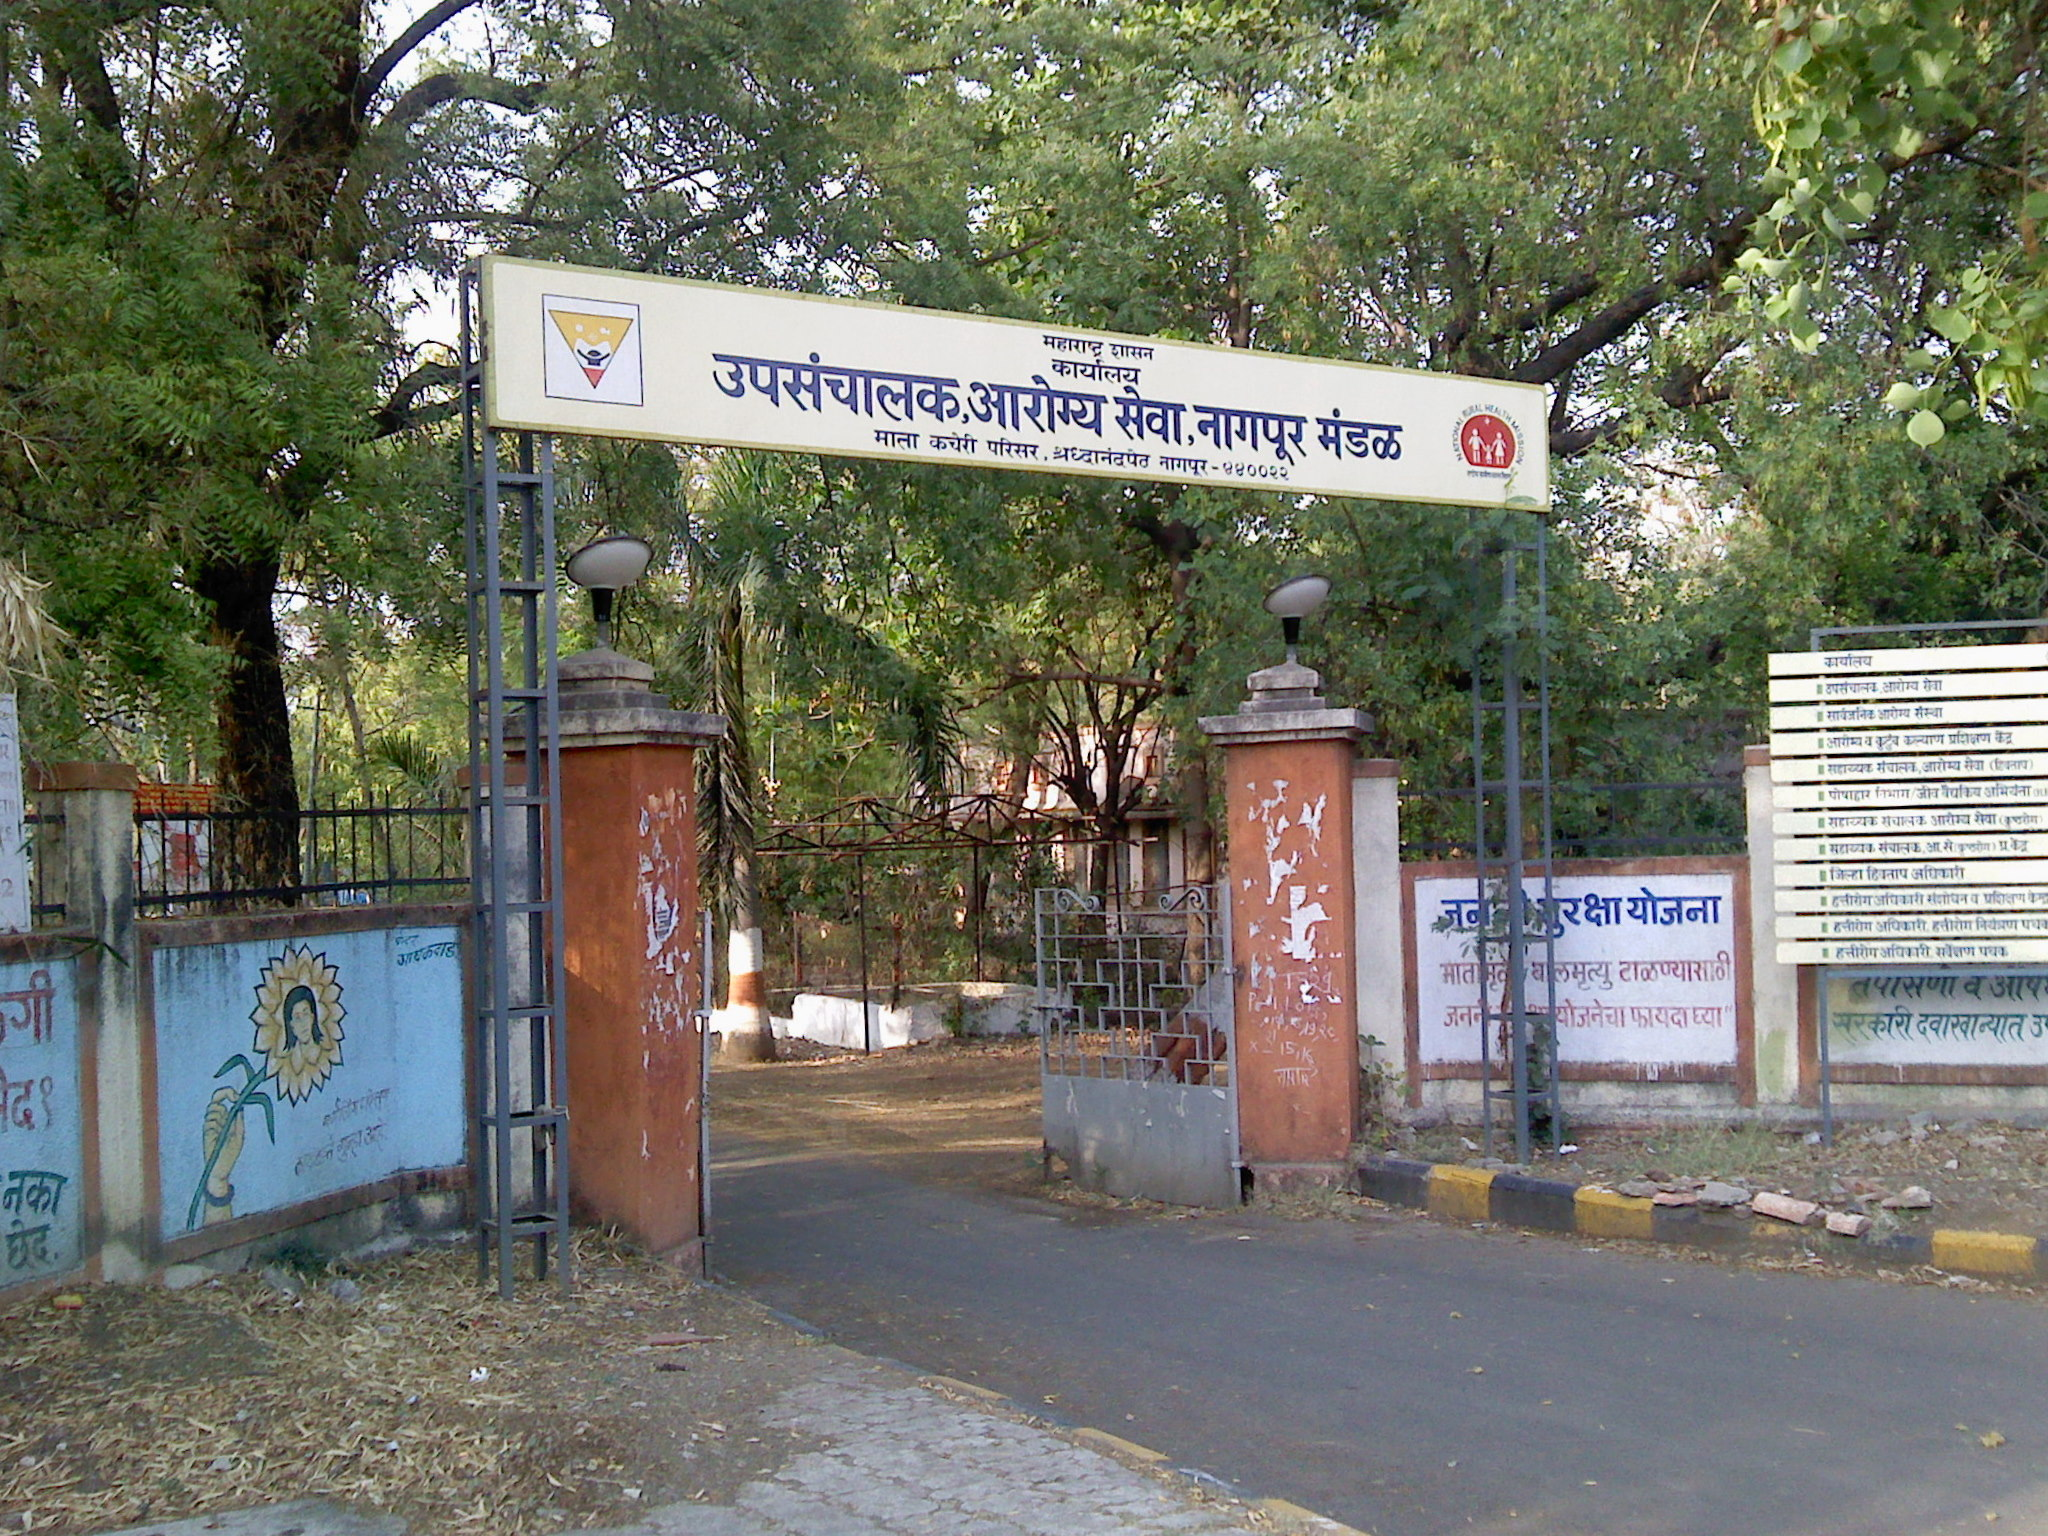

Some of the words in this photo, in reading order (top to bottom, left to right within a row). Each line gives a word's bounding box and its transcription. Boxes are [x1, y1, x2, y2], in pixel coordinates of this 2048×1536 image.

[1036, 328, 1105, 359] महाराष्ट्र
[1109, 340, 1158, 363] शासन
[710, 347, 969, 426] उपसंचालक
[1047, 357, 1144, 394] कार्यालय
[963, 367, 1112, 442] आरोग्य
[1103, 380, 1191, 451] सेवा
[867, 422, 923, 453] माता
[923, 427, 984, 459] कचेरी
[983, 432, 1043, 463] परिसर
[1050, 441, 1154, 471] श्रध्दानंदपेठ
[1156, 449, 1210, 478] नागपूर
[1192, 402, 1315, 468] नागपूर
[1218, 456, 1292, 482] ४४००२२
[1311, 401, 1408, 463] मंडळ
[1815, 645, 1879, 673] कार्यालय
[1823, 677, 1884, 699] उपसंचालक
[1877, 671, 1922, 698] आरोग्य
[1917, 671, 1948, 698] सेवा
[1822, 702, 1881, 724] सार्वजनिक
[1872, 699, 1916, 727] आरोग्य
[1910, 695, 1951, 725] संस्था
[1822, 723, 1867, 754] आरोग्य
[1858, 729, 1879, 756] व
[1870, 728, 1907, 759] कुटुंब
[1900, 729, 1949, 751] कल्याण
[1943, 724, 1997, 749] प्रशिक्षण
[1985, 719, 2022, 754] केंद्र
[1823, 749, 1879, 779] सहाय्यक
[1869, 751, 1926, 779] संचालक,
[1917, 755, 1967, 777] आरोग्य
[1960, 751, 1991, 780] सेवा
[1826, 785, 1875, 806] पोषाहार
[1865, 779, 1914, 802] विभाग
[1910, 777, 1944, 806] जीव
[1934, 777, 1987, 804] वैद्यकिय
[1980, 778, 2041, 802] अभियंता
[1821, 814, 1877, 829] सहाय्यक
[1873, 807, 1935, 831] संचालक
[1926, 805, 1974, 833] आरोग्य
[1967, 807, 2003, 831] रोया
[1825, 838, 1879, 858] सहाय्यक
[1874, 835, 1925, 857] संचालक
[1925, 834, 1961, 859] आ.से
[1821, 853, 1867, 885] जिल्हा
[1858, 855, 1911, 883] हिवताप
[1906, 857, 1969, 884] अधिकारी
[1536, 890, 1633, 944] सुरक्षा
[1613, 878, 1723, 928] योजना
[1829, 885, 1877, 911] हत्तीरोग
[1829, 908, 1878, 938] हत्तीरोग
[1869, 884, 1929, 913] अधिकारी
[1871, 911, 1931, 937] अधिकारी
[1919, 884, 1974, 911] संशोधन
[1926, 909, 1977, 937] हत्तीरोग
[1968, 911, 2025, 935] नियंत्रण
[1980, 885, 2031, 909] प्रशिक्षण
[394, 937, 461, 971] गायकवाड
[1522, 947, 1623, 993] बालमृत्यु
[1611, 943, 1736, 990] टाळण्यासाठी
[1831, 937, 1881, 962] हत्तीरोग
[1875, 937, 1935, 965] अधिकारी
[1929, 943, 1981, 962] सर्वेक्षण
[1973, 939, 2015, 964] पथक
[1847, 969, 1966, 1004] तपासणा
[1956, 968, 1995, 1002] व्
[1988, 963, 2044, 1009] आप
[1436, 992, 1498, 1029] जननी
[1540, 992, 1630, 1029] योजनेचा
[1627, 996, 1693, 1035] फायदा
[1684, 993, 1726, 1039] घ्या
[1831, 997, 1918, 1049] सरकारी
[1914, 1006, 2035, 1047] दवाखान्यात
[0, 1161, 74, 1223] नका
[1, 1213, 59, 1277] छेद.